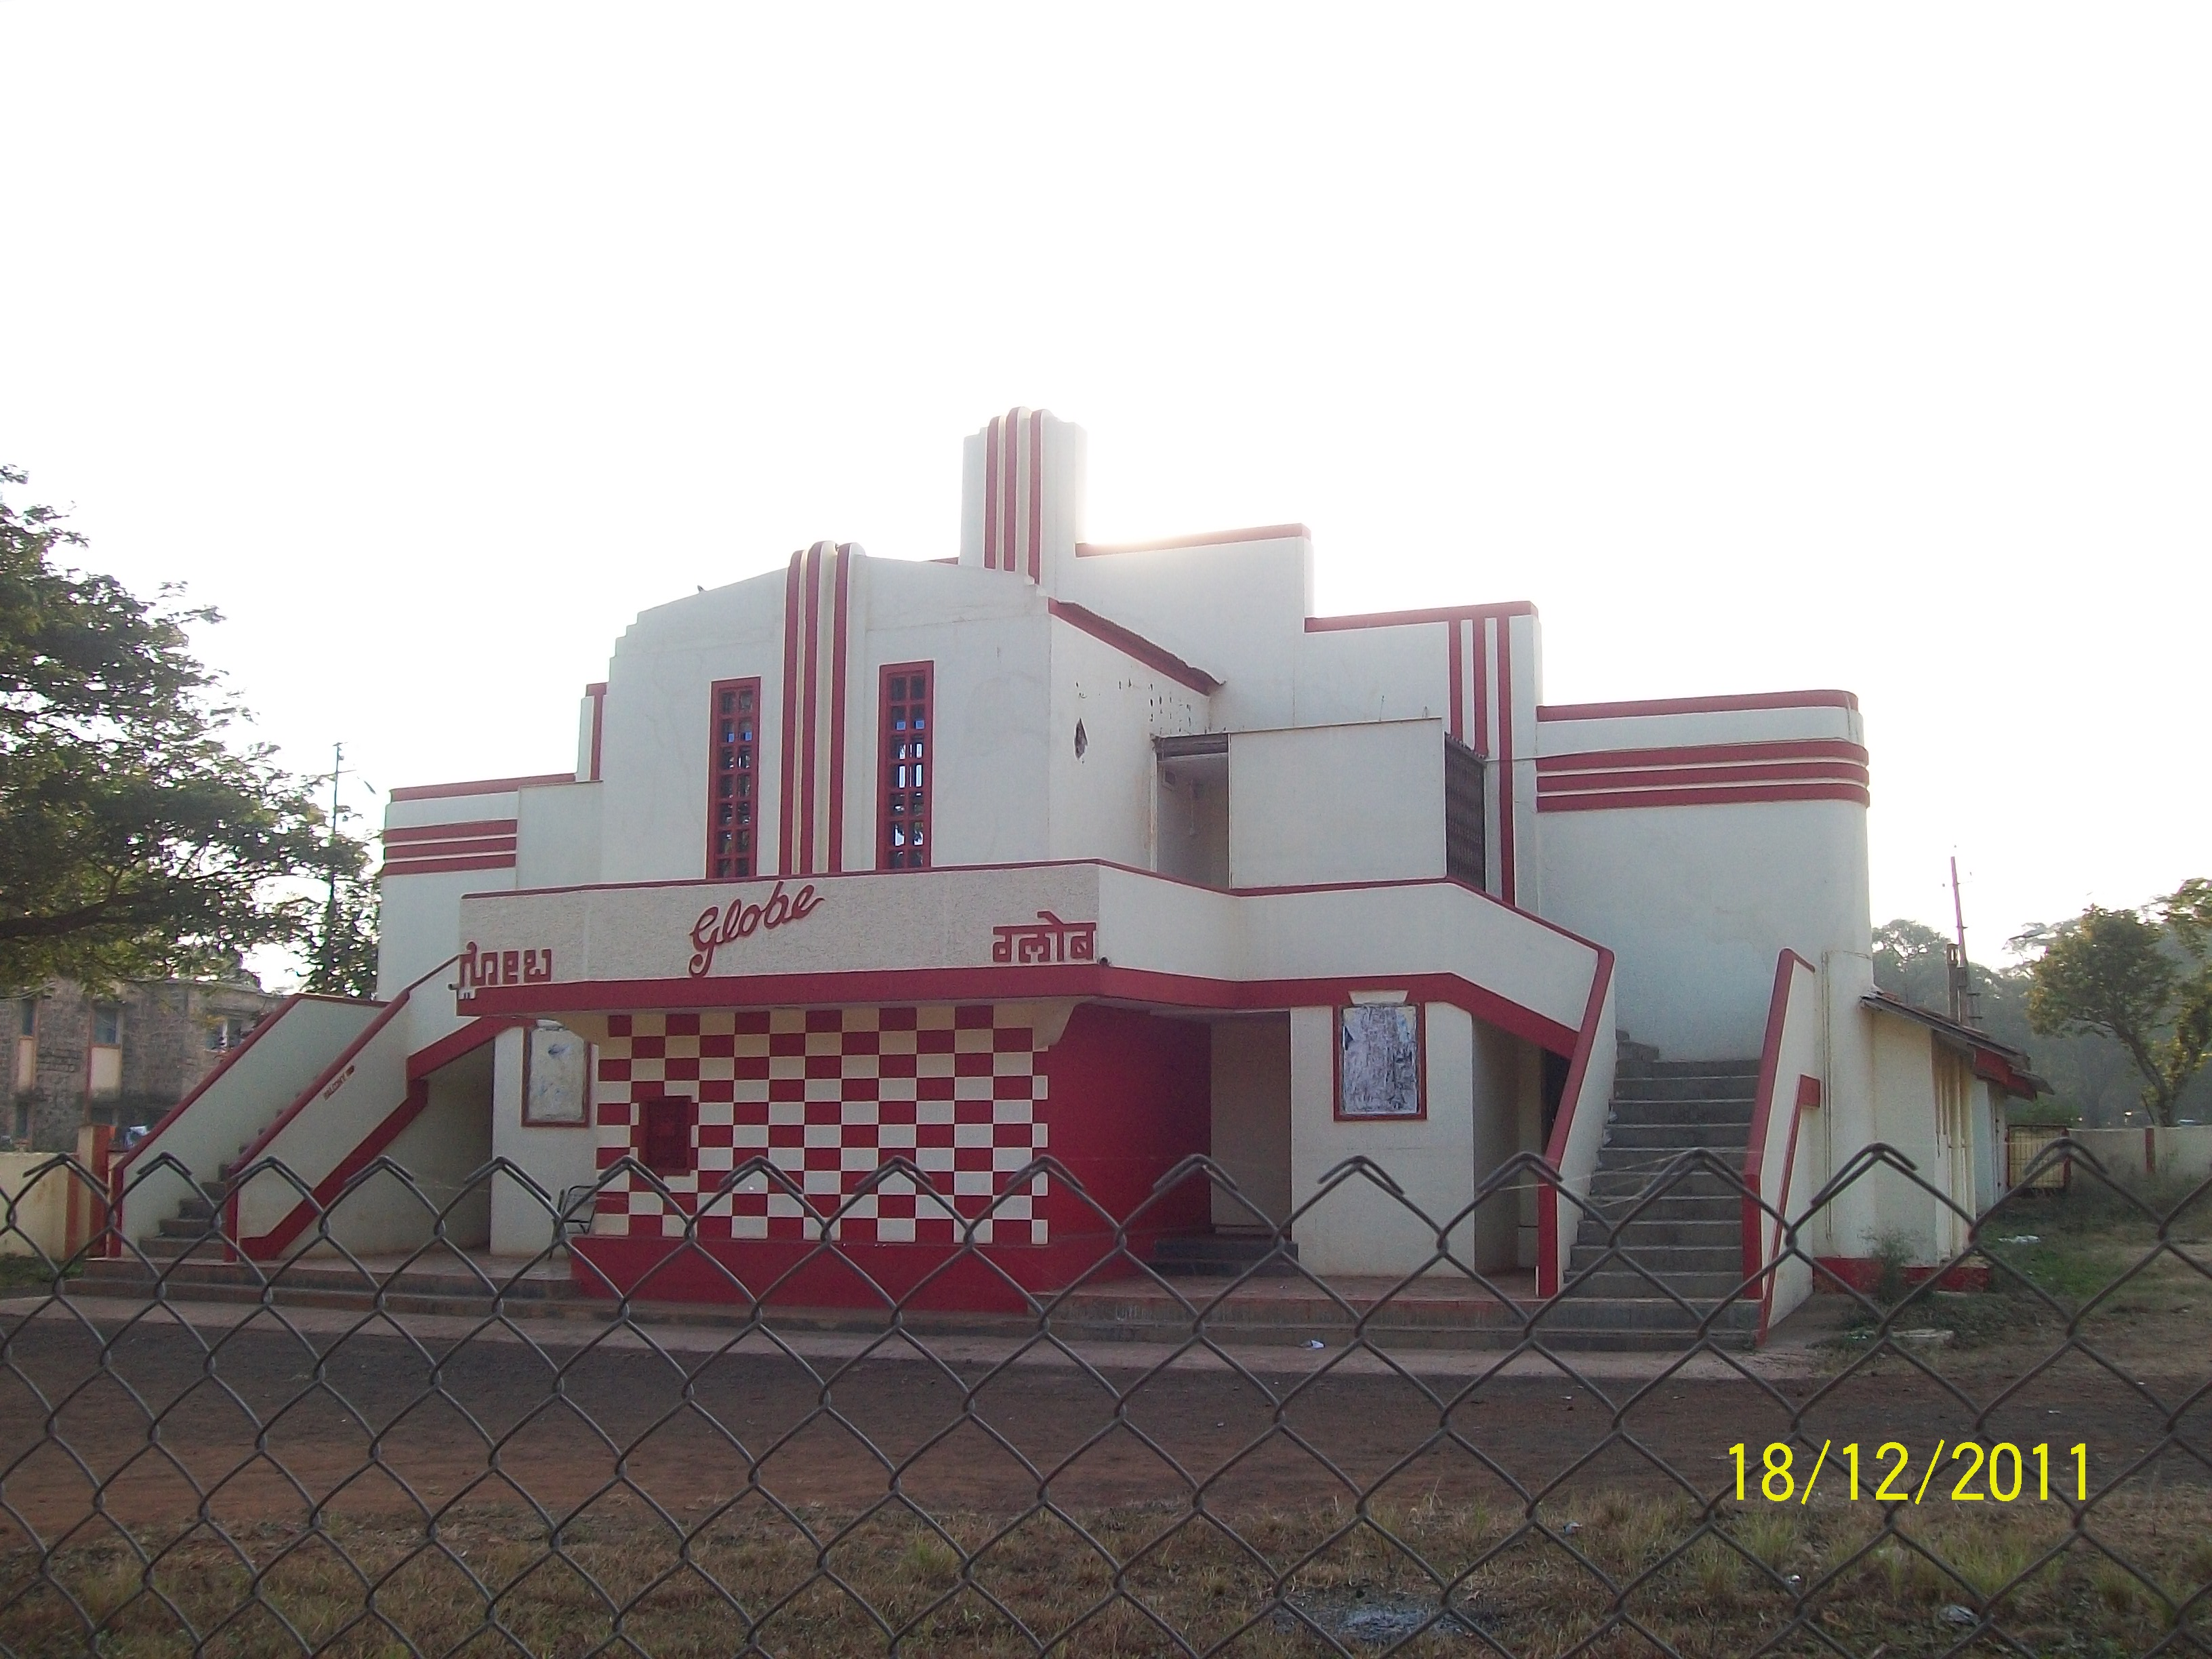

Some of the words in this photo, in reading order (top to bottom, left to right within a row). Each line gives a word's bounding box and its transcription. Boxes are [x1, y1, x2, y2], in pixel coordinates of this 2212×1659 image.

[451, 935, 555, 996] ಗೋಬ
[674, 873, 834, 977] globe
[986, 899, 1103, 969] ग्लोब
[1723, 1429, 2092, 1507] 18/12/2011